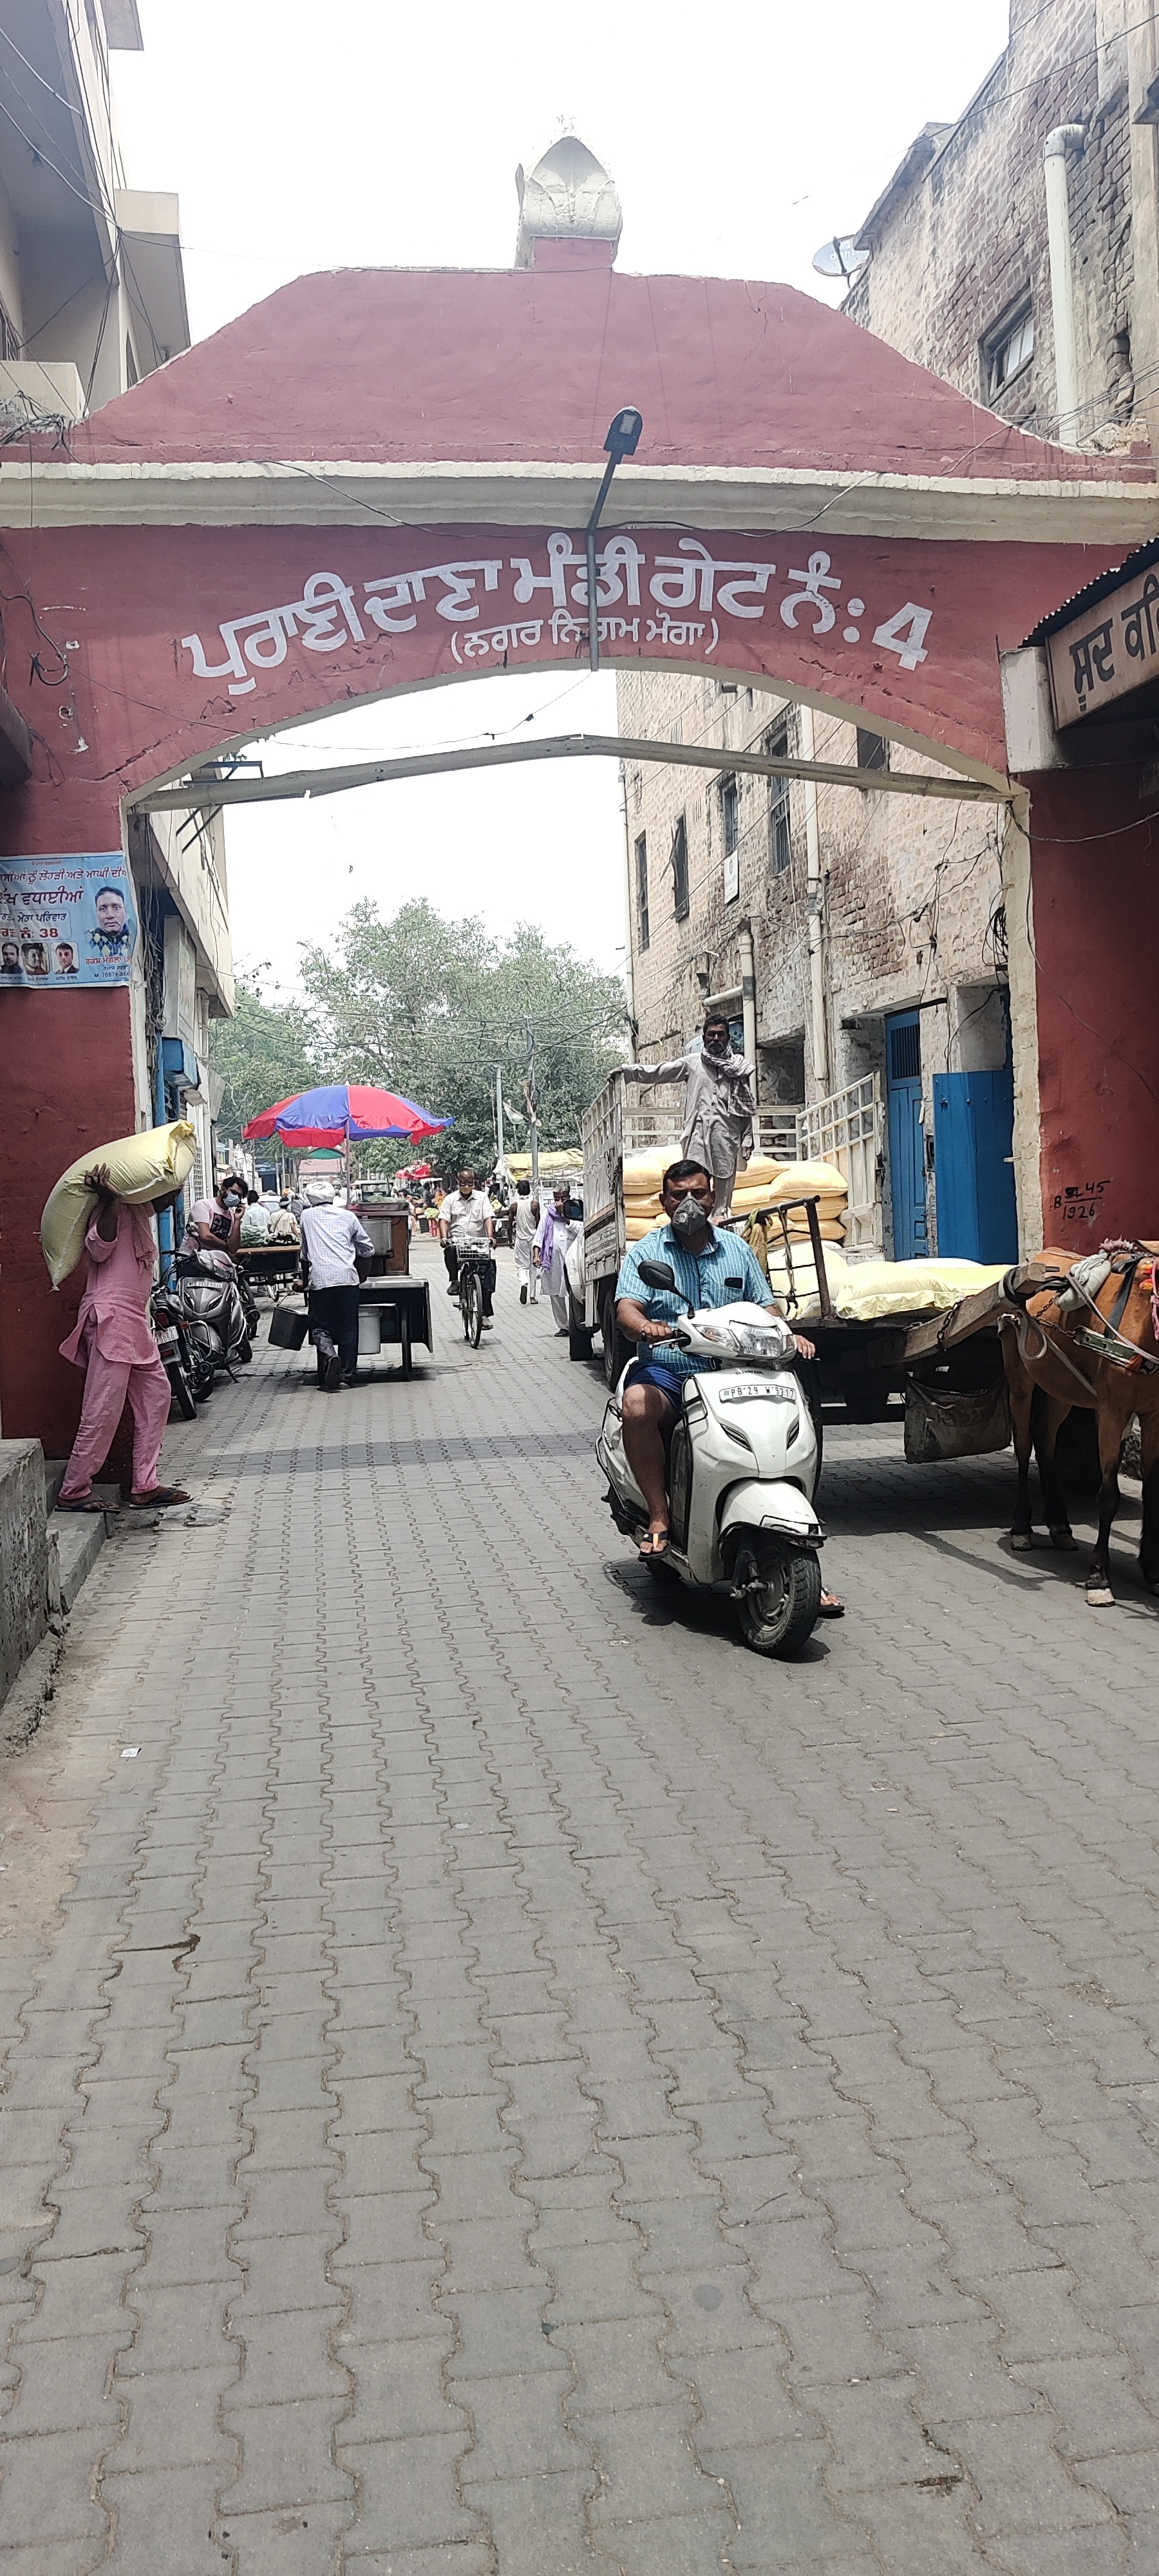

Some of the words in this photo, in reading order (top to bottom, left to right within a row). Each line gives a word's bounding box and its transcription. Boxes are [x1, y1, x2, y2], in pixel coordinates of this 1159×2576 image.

[500, 527, 653, 612] ਮੰਡੀ
[643, 534, 783, 627] ਗੇਟ
[355, 545, 506, 644] ਦਾਣਾ
[771, 545, 851, 654] ਨੰ
[162, 558, 372, 700] ਪੁਰਾਣੀ
[459, 612, 547, 661] ਨਗਰ
[547, 609, 642, 649] ਨਿਗਮ
[641, 603, 708, 649] ਮੋਗਾ
[862, 594, 943, 681] 4
[1113, 590, 1148, 668] ਕ
[1061, 606, 1125, 715] ਸੂਦ
[0, 866, 27, 885] ਸੀਆਂ
[25, 866, 39, 885] ਨੂੰ
[37, 866, 66, 883] ਲੇਹੜੀ
[64, 865, 85, 882] ਅਤੇ
[83, 865, 111, 882] ਮਾਘੀ
[108, 864, 127, 881] ਦੀ
[18, 883, 87, 908] ਵਧਾਈਆਂ
[15, 907, 35, 924] ਮੇਰਾ
[34, 907, 71, 924] ਪਰਿਵਾਰ
[19, 924, 32, 942] ਨੰ:
[37, 925, 62, 940] 38
[1084, 1175, 1113, 1197] 45
[1049, 1191, 1065, 1211] B
[1062, 1198, 1101, 1224] 1926
[726, 1385, 796, 1399] PB29W9717